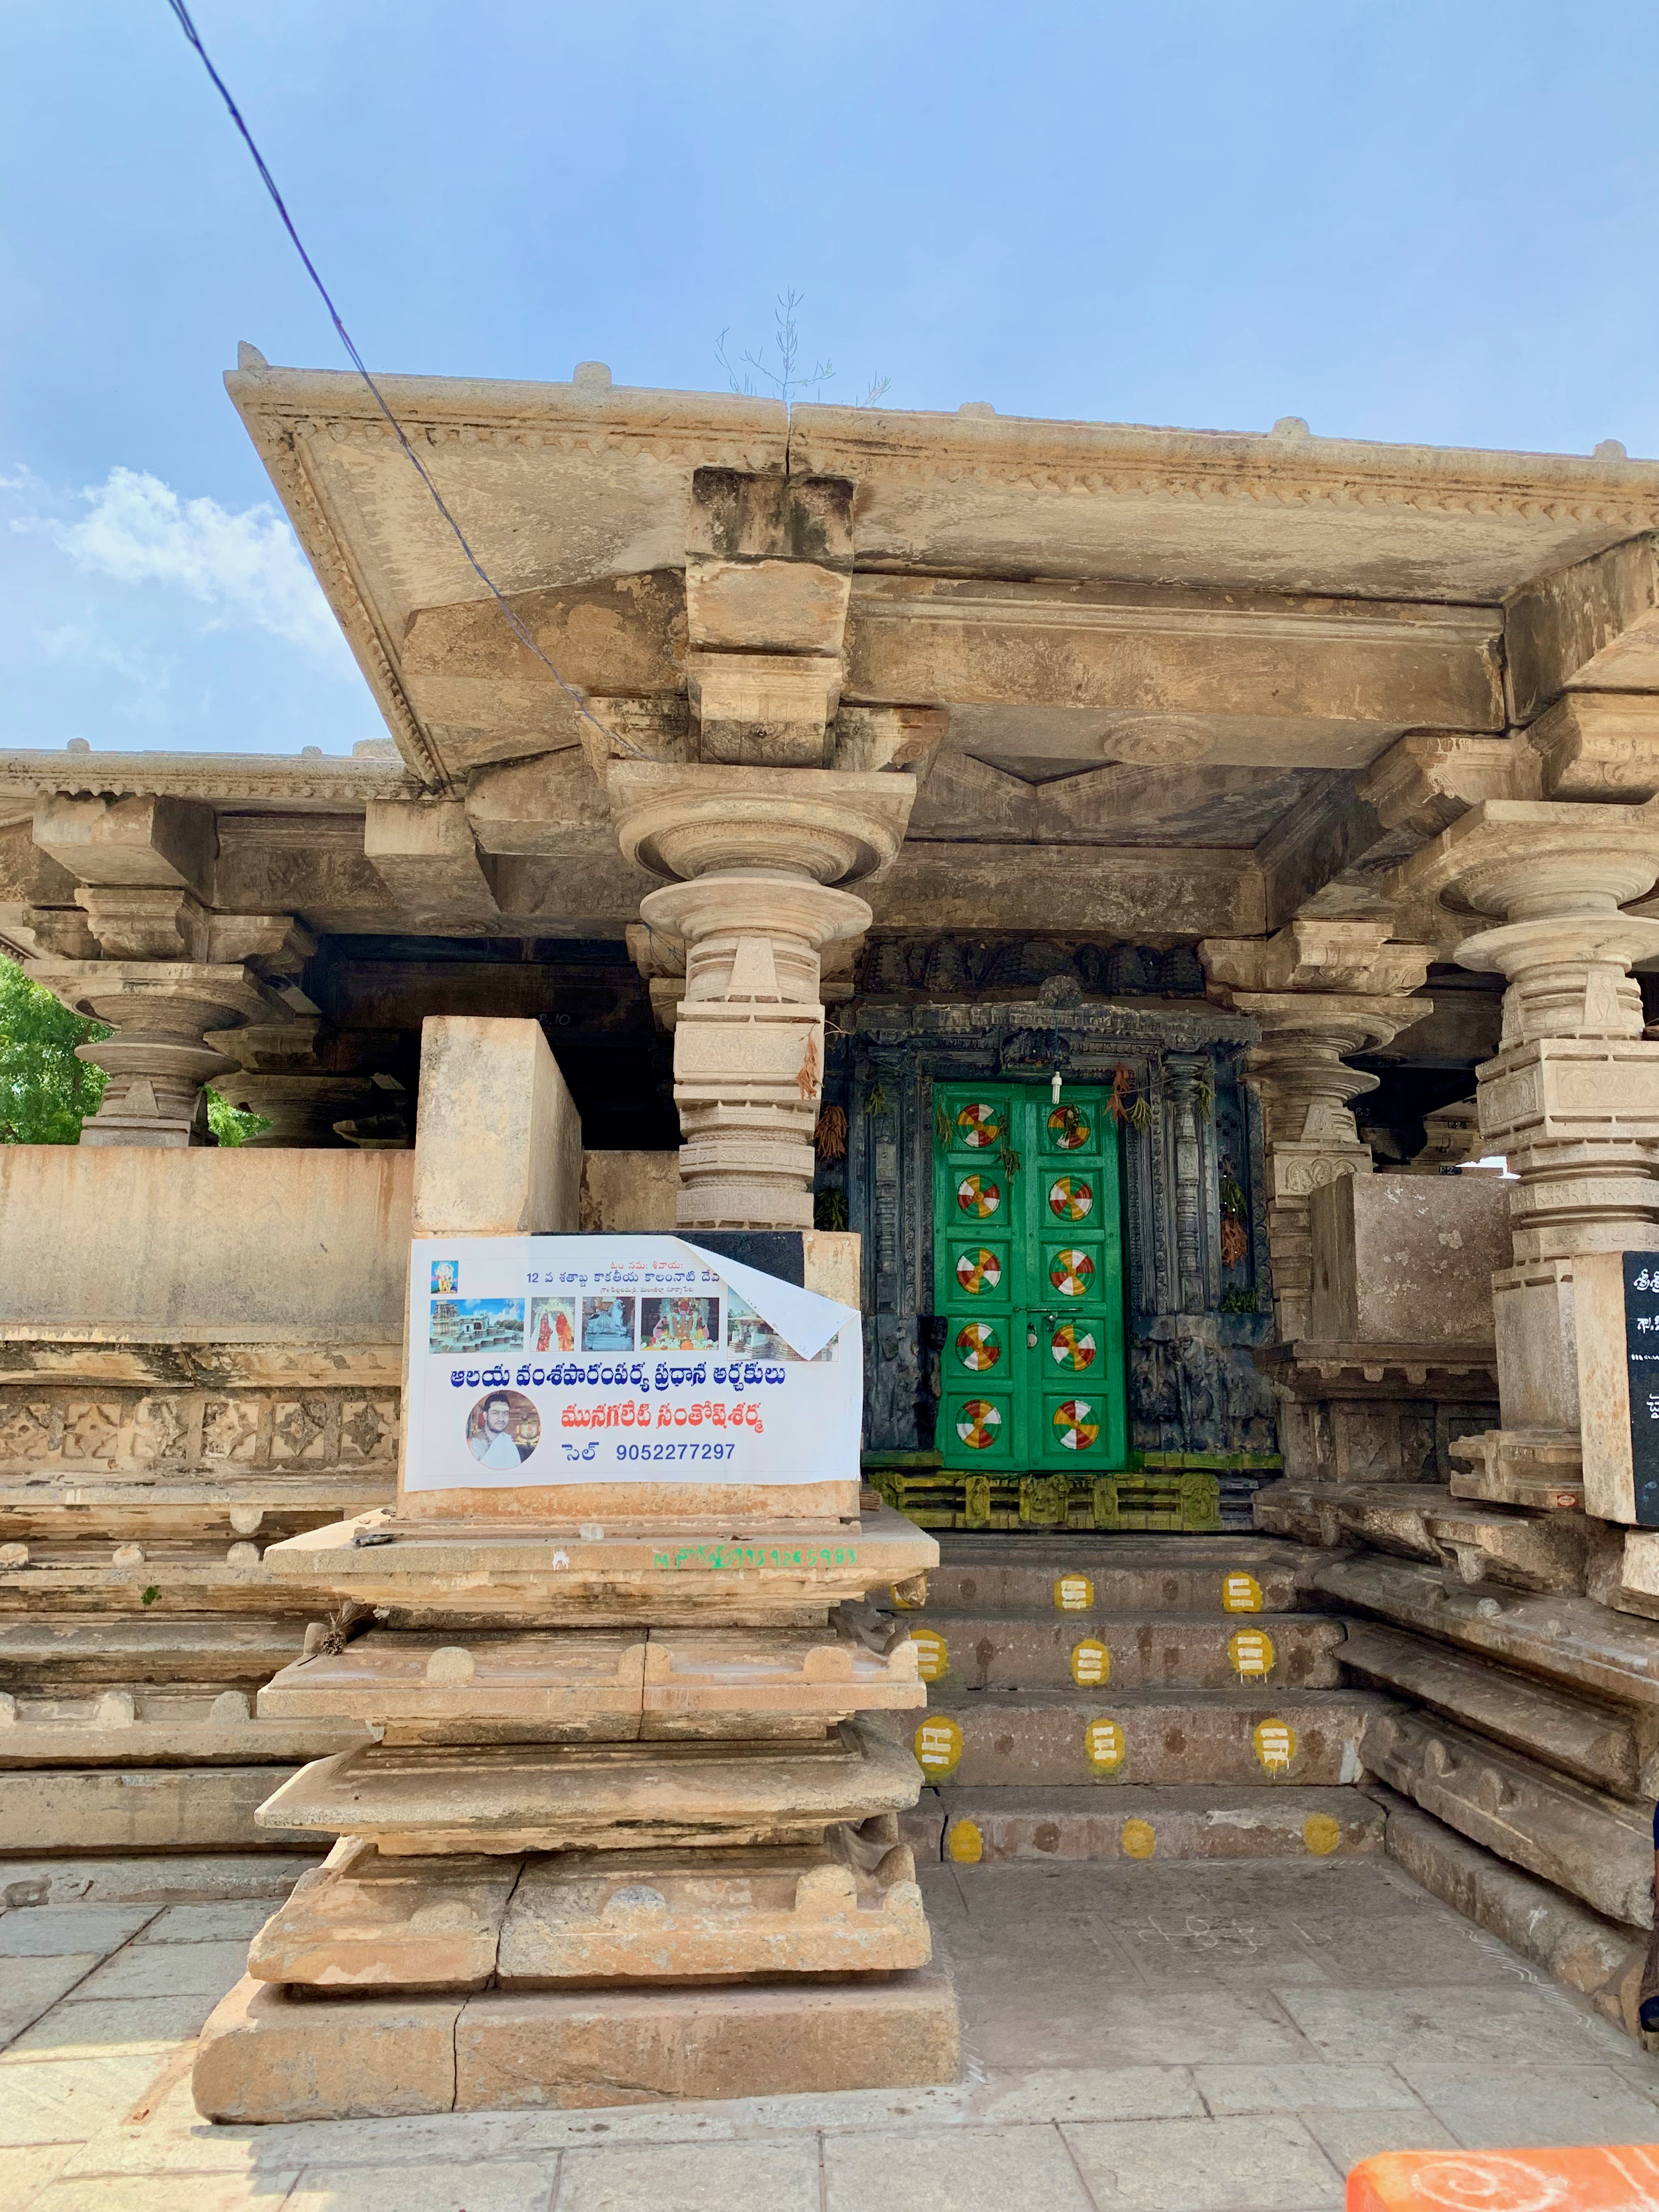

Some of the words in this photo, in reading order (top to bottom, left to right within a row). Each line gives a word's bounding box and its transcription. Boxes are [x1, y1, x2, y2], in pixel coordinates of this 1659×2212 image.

[607, 1254, 627, 1272] ఓం
[625, 1257, 650, 1272] నమః
[650, 1256, 686, 1271] శివాయ:
[524, 1270, 540, 1285] 12
[539, 1271, 556, 1284] వ
[559, 1268, 593, 1289] శతాబ్ద
[591, 1267, 641, 1287] కాకతీయ
[642, 1268, 697, 1283] కాలంనాటి
[701, 1266, 725, 1284] దేవ
[598, 1285, 639, 1296] గా పిల్లలమర్రి.
[638, 1283, 668, 1296] మ౦౪జిల్లా
[665, 1283, 695, 1296] సూర్యాపేట
[448, 1361, 516, 1390] ఆలయ
[514, 1359, 652, 1395] వంశపారంపర్య
[653, 1358, 709, 1394] ప్రధాన
[711, 1358, 786, 1394] అర్చకులు
[562, 1398, 654, 1431] మునగలేటి
[654, 1397, 767, 1435] సంతోష్ శర్మ
[559, 1438, 602, 1464] సెల్
[613, 1440, 738, 1463] 9052277297